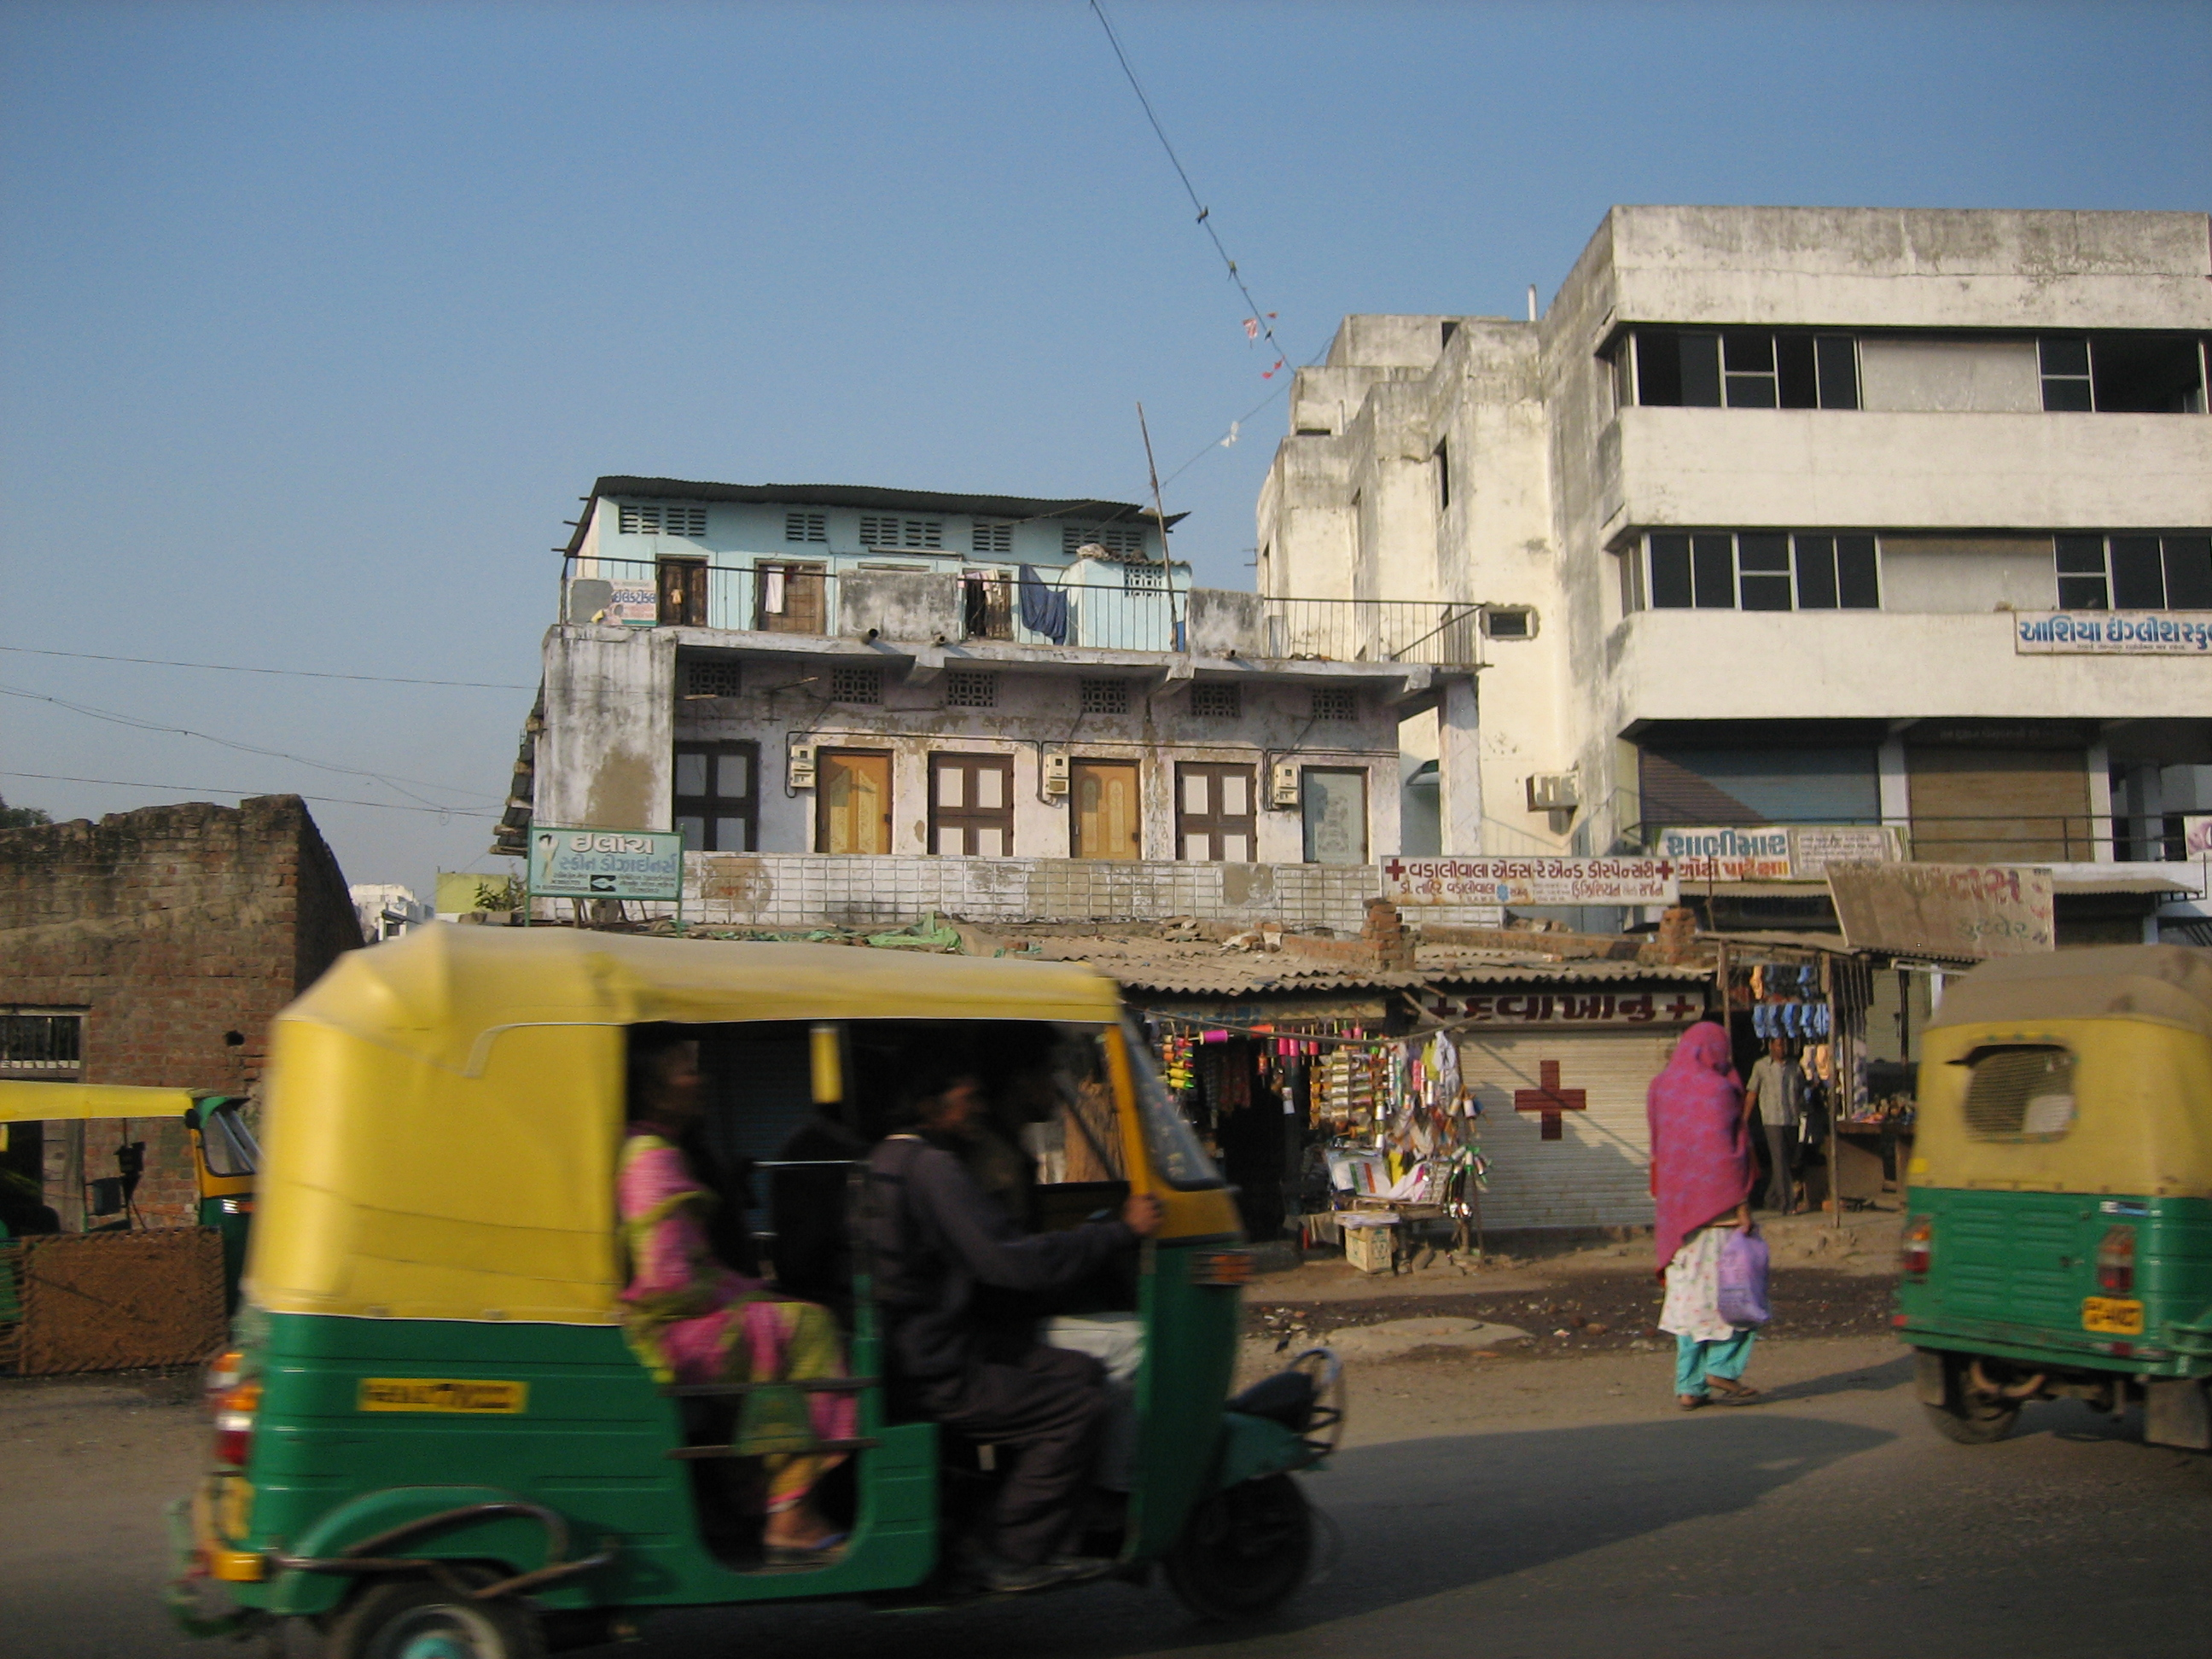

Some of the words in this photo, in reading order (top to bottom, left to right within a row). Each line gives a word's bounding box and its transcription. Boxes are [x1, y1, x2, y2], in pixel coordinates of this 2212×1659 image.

[2013, 618, 2105, 647] આશિયા
[2114, 622, 2205, 649] ઇગ્લાશરફ